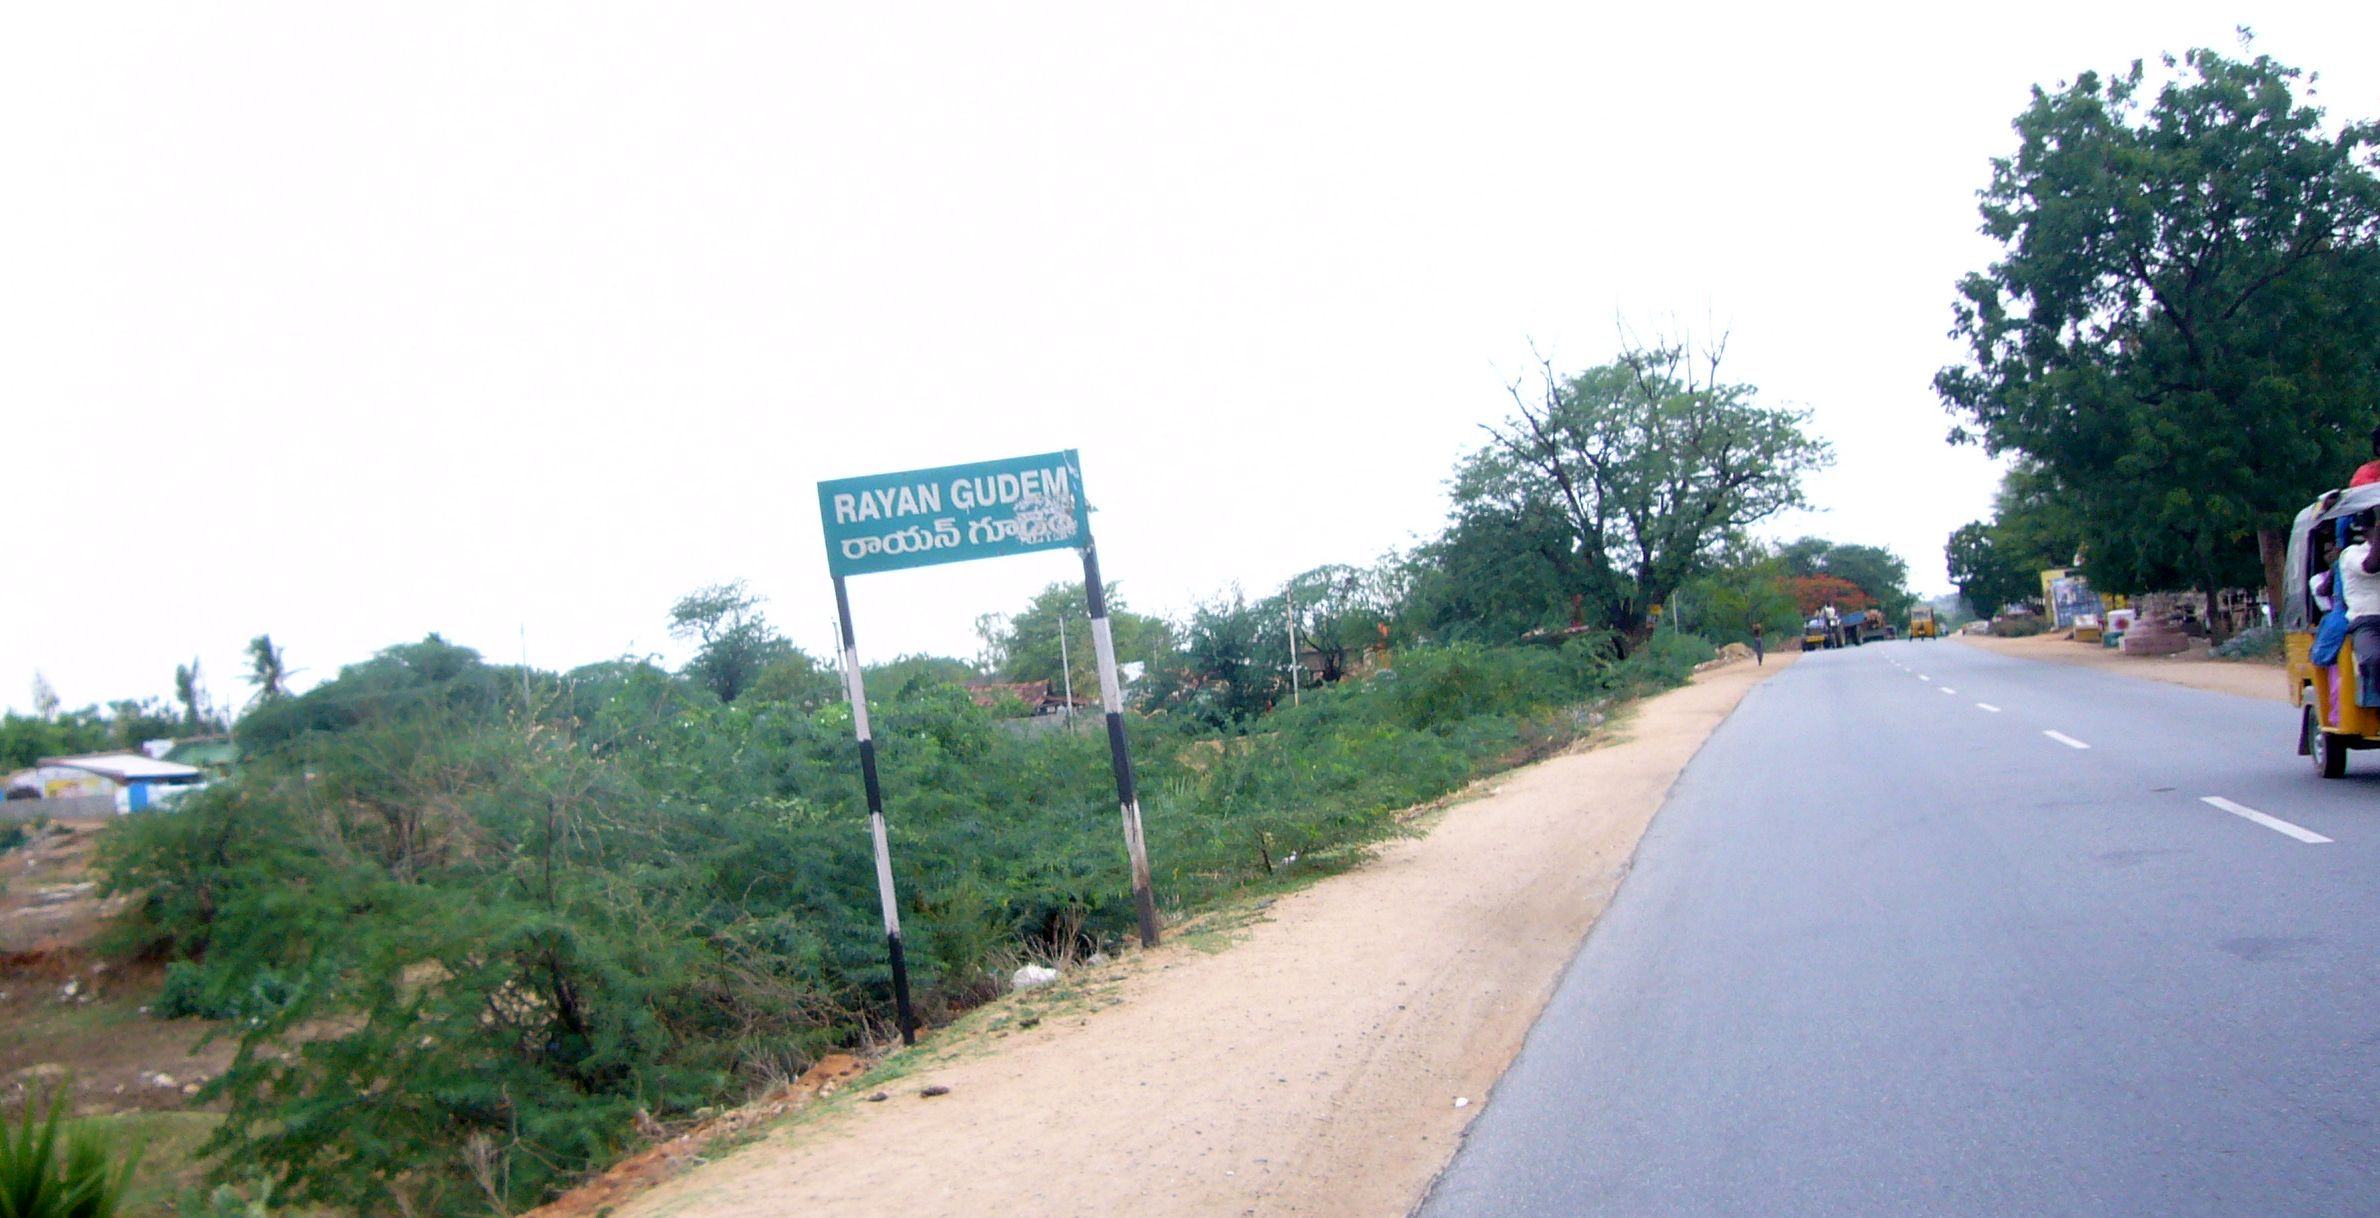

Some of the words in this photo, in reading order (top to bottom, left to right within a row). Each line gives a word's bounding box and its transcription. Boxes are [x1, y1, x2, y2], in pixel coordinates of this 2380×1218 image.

[831, 477, 943, 530] RAYAN
[837, 513, 965, 566] రాయన్
[942, 462, 1073, 519] GUDEM
[963, 497, 1080, 553] గూ